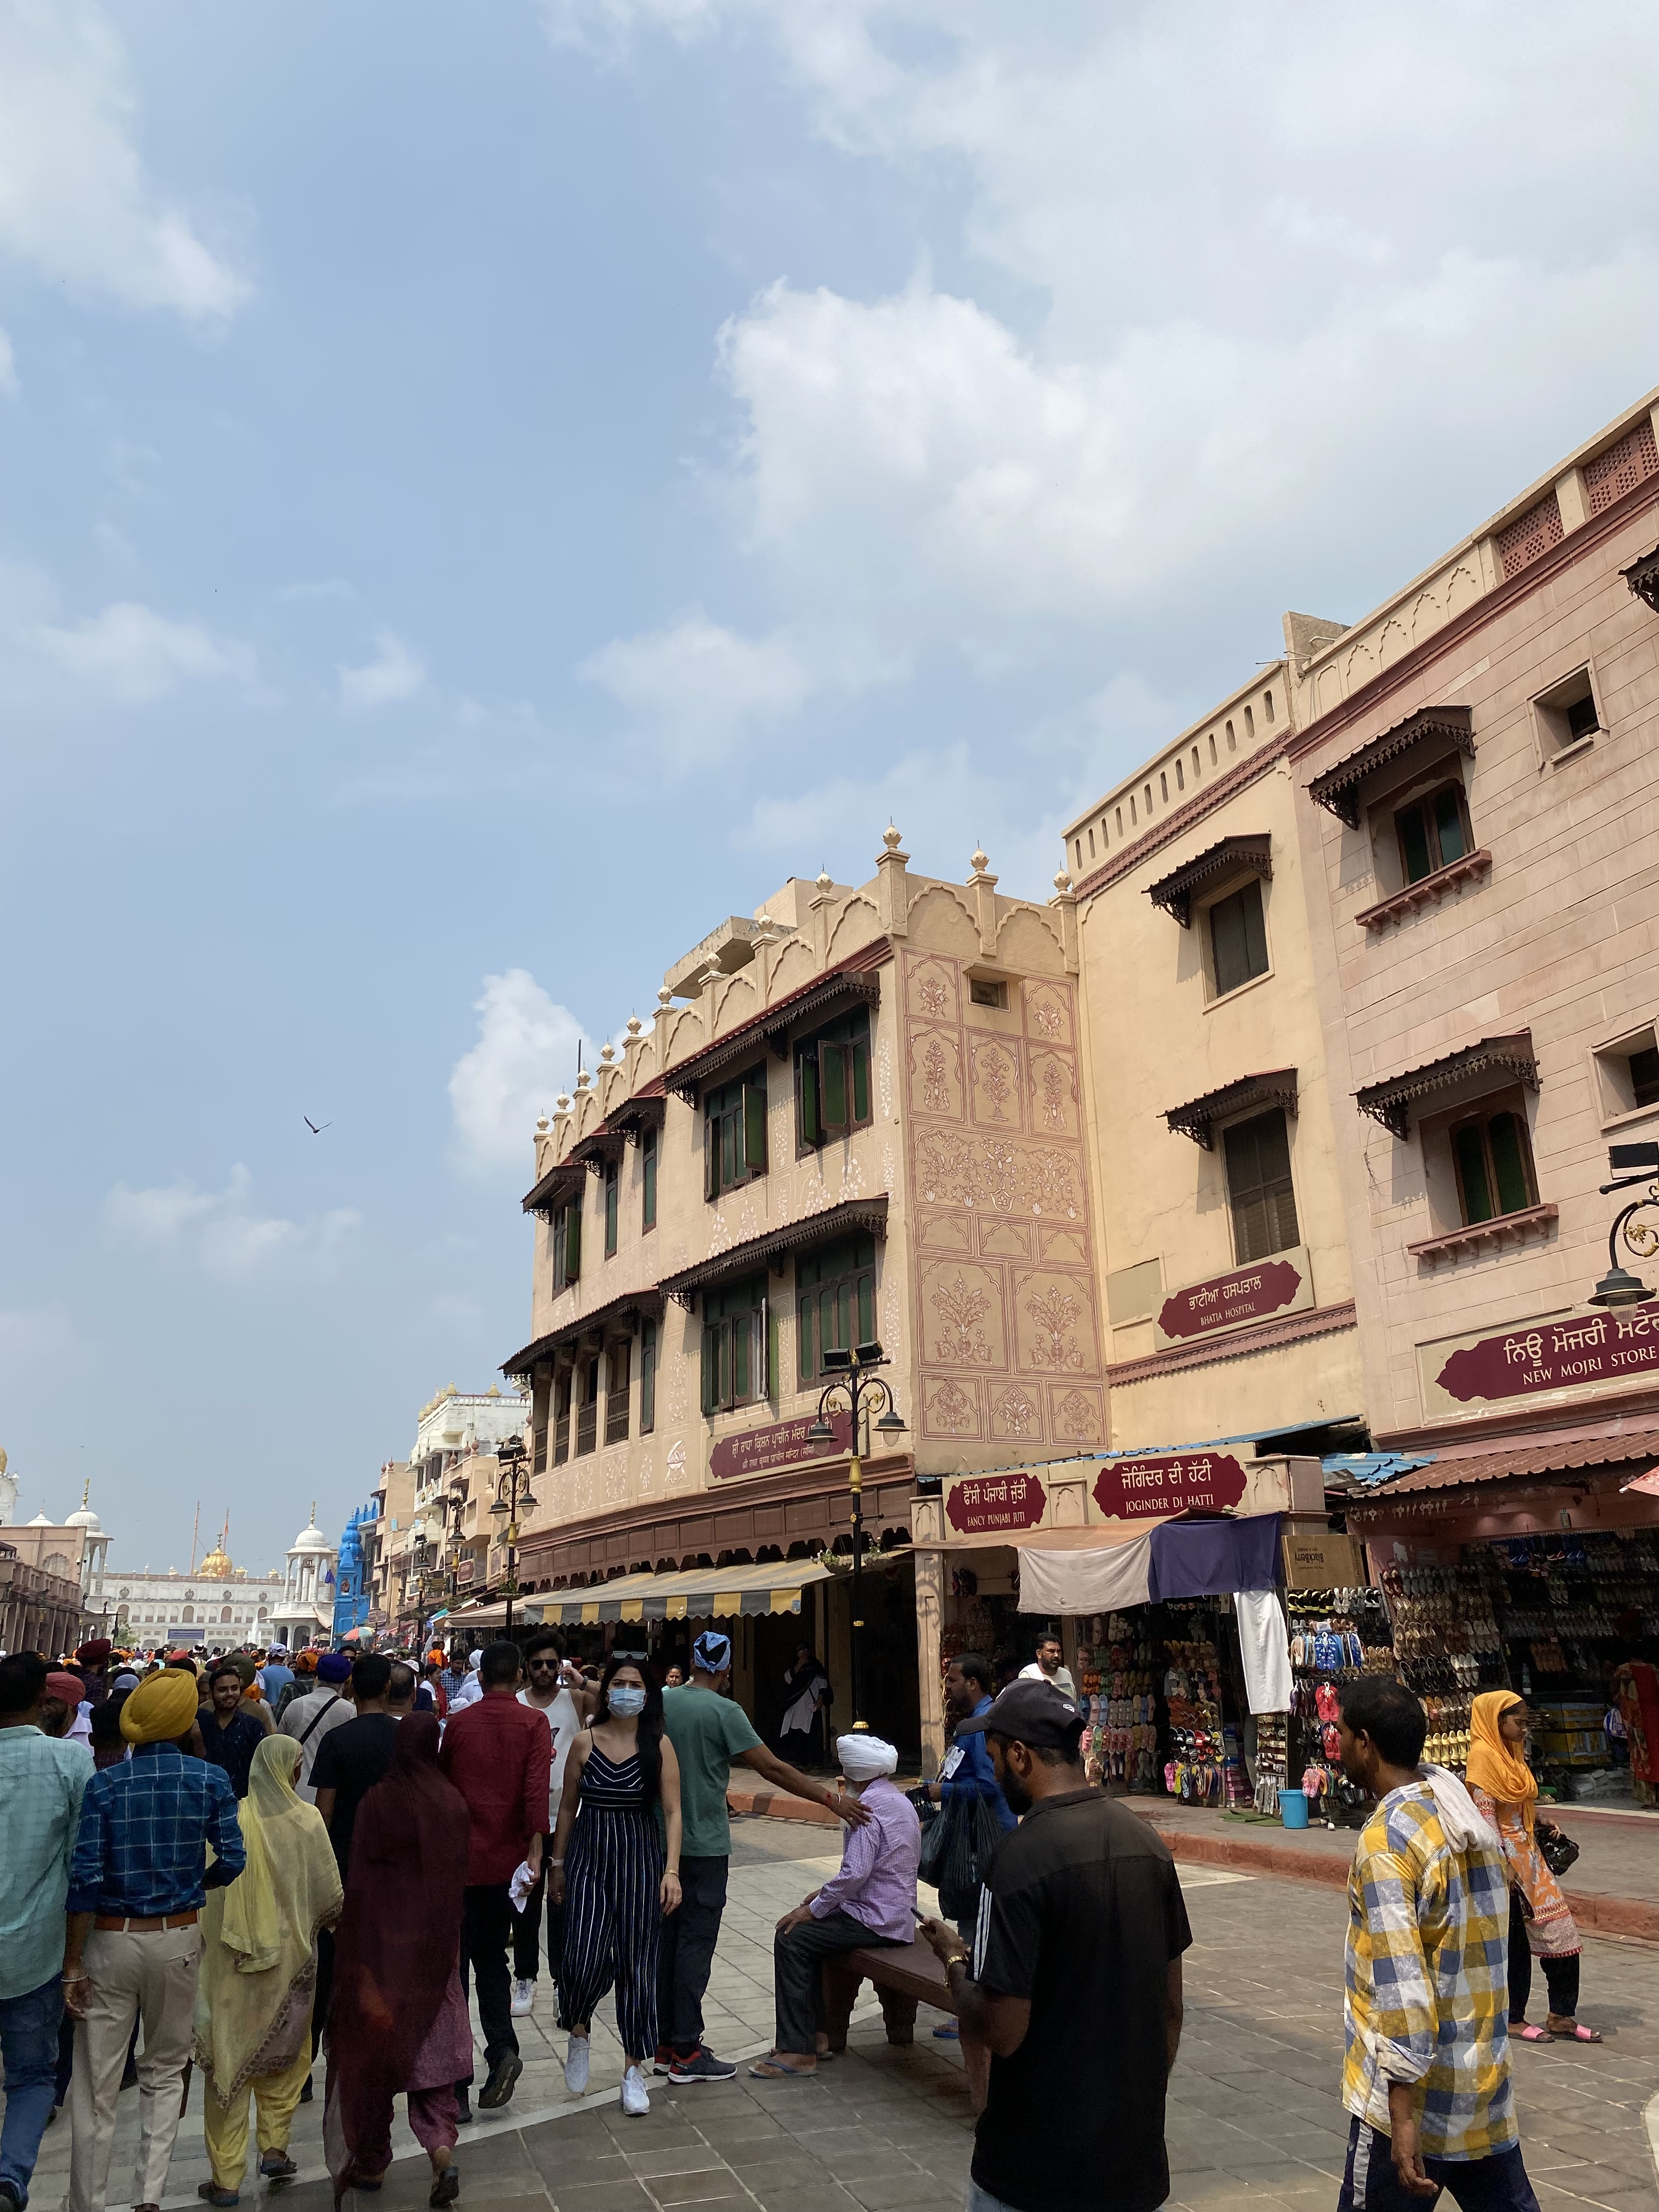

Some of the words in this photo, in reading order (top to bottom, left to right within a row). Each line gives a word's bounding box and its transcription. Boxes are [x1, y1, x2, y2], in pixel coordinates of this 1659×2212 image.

[1186, 1283, 1223, 1312] ਭਾਟੀਆ
[1219, 1272, 1266, 1301] ਹਸਪਤਾਲ
[1199, 1308, 1226, 1329] BHATIA
[1224, 1300, 1259, 1322] HOSPITAL
[1612, 1306, 1651, 1342] ਮਟੋ
[1500, 1328, 1550, 1370] ਨਿਊ
[1548, 1314, 1613, 1361] ਮੋਜਰੀ
[1607, 1341, 1657, 1368] STORE
[1519, 1365, 1555, 1386] NEW
[1558, 1354, 1607, 1380] MOJRI
[731, 1438, 740, 1461] ਸ਼੍ਰੀ
[740, 1435, 754, 1455] ਰਾਧਾ
[753, 1430, 771, 1454] ਕ੍ਰਿਸ਼ਨ
[758, 1453, 769, 1470] कृप्या
[769, 1448, 785, 1466] प्राचीन
[771, 1425, 791, 1450] ਪ੍ਰਾਈਨ
[785, 1446, 800, 1463] मन्दिर
[789, 1422, 808, 1444] ਮੰਦਰ
[1118, 1462, 1166, 1492] ਜੋਗਿੰਦਰ
[1164, 1458, 1187, 1488] ਦੀ
[1185, 1455, 1217, 1486] ਹੱਟੀ
[961, 1481, 982, 1507] ਫੈਂਸੀ
[982, 1477, 1009, 1506] ਪੰਜਾਬੀ
[1009, 1476, 1030, 1508] ਜੁੱਈ
[1122, 1492, 1171, 1516] JOGINDER
[1171, 1493, 1186, 1510] DI
[1185, 1491, 1217, 1507] HATTI
[966, 1513, 987, 1528] FANCY
[987, 1509, 1013, 1527] PUNJABI
[1011, 1509, 1028, 1526] JUTI
[1291, 1549, 1327, 1565] BlackBerry